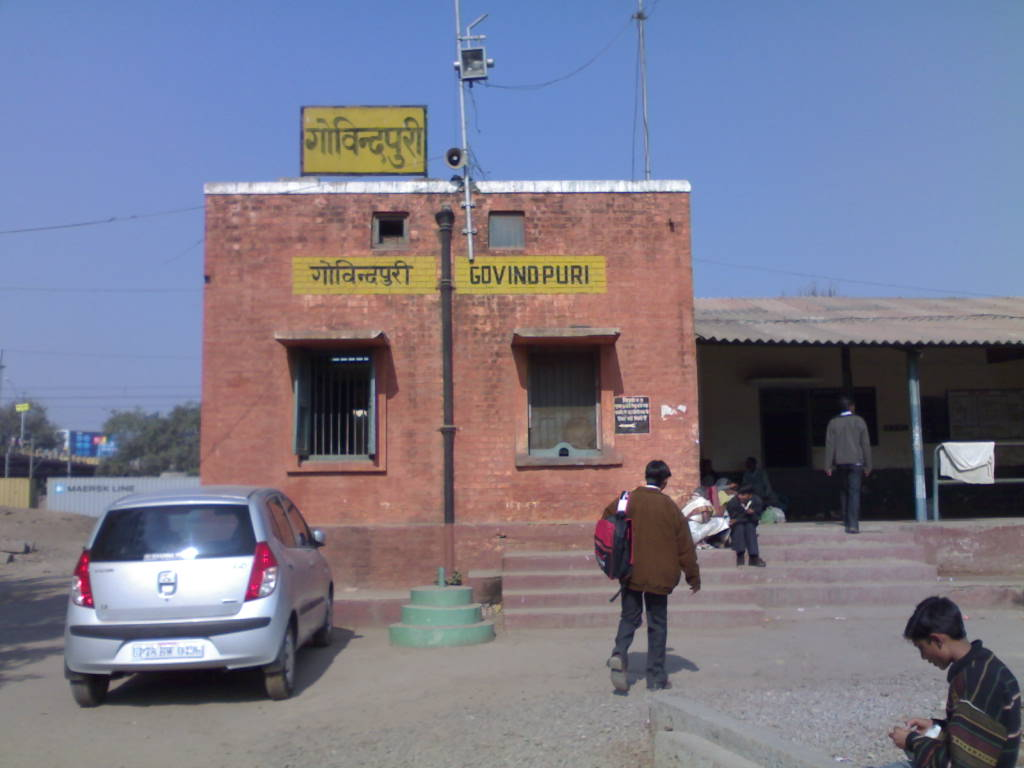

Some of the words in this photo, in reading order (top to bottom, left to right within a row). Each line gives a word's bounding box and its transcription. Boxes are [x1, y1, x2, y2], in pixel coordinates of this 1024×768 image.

[304, 111, 426, 173] गोविन्दपुरी
[308, 253, 415, 291] गोविन्दपुरी
[467, 263, 591, 286] GOVINDPURI